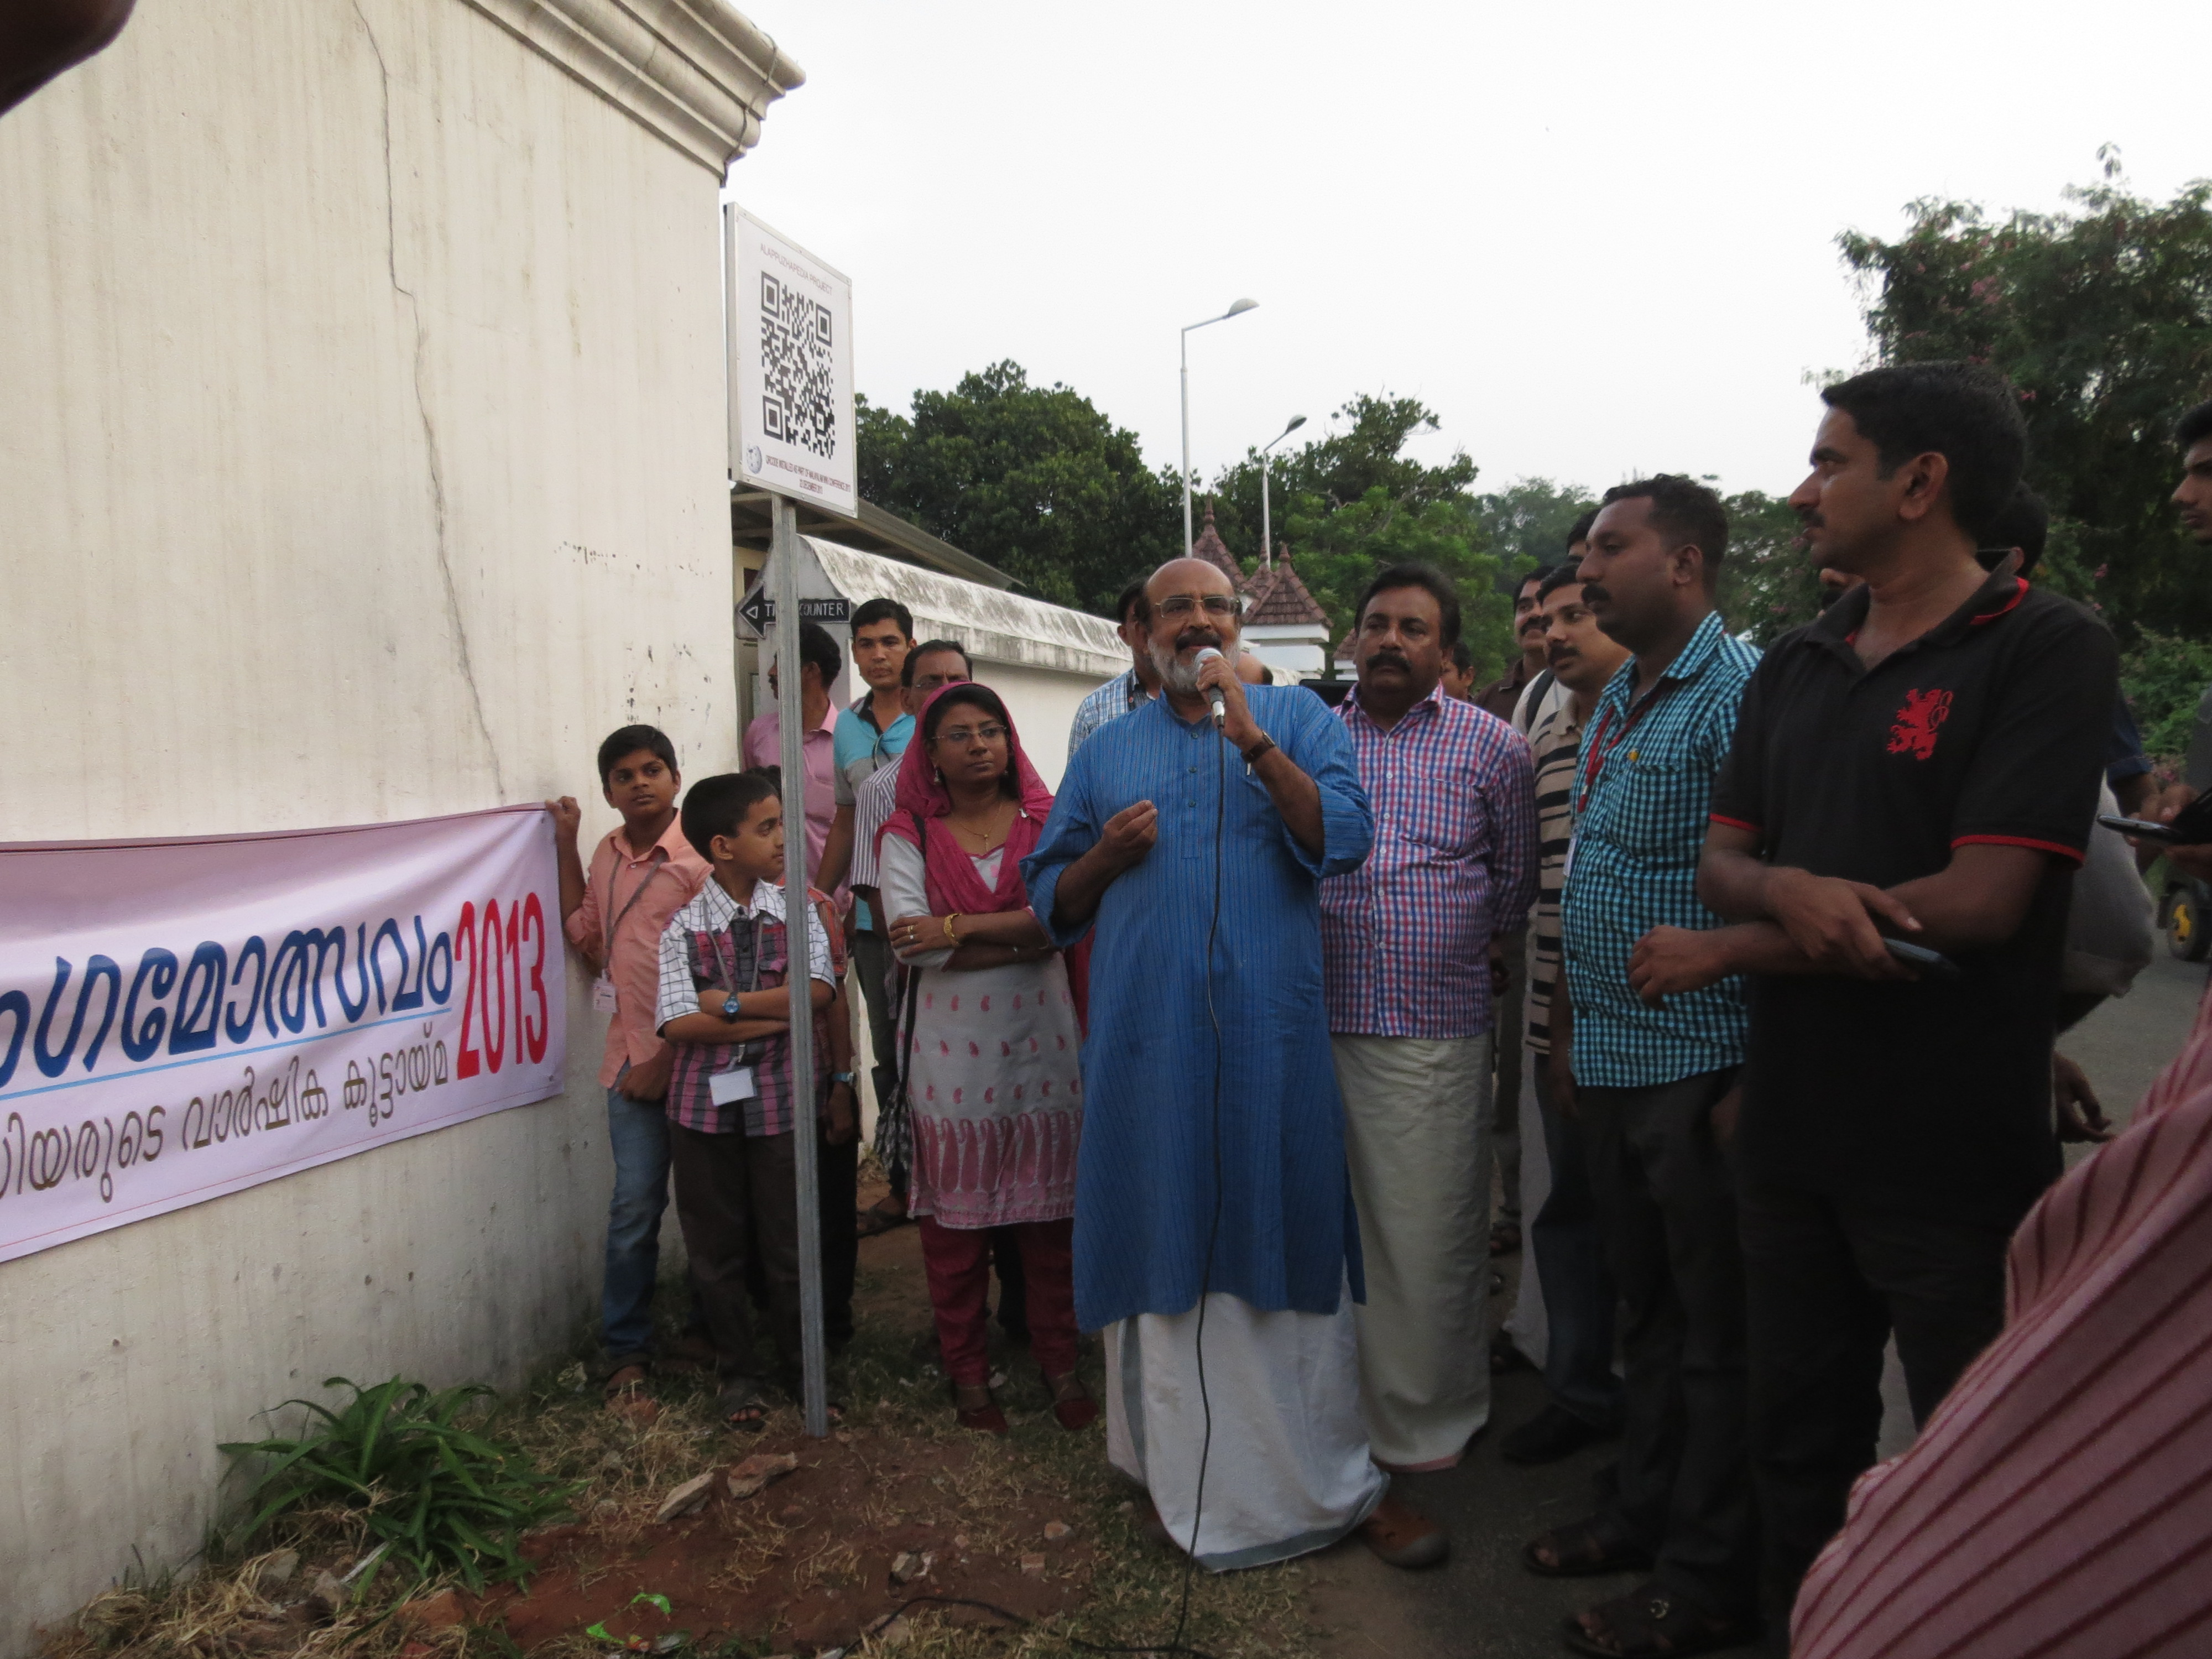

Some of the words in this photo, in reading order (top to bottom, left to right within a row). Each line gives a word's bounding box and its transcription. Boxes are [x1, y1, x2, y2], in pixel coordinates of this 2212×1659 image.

[2, 911, 455, 1089] ഗമോത്സവം
[450, 886, 553, 1082] 2013
[1, 1100, 174, 1206] റിയരുടെ
[181, 1053, 333, 1154] വാർഷിക
[332, 1024, 457, 1131] കൂട്ടായ്മ